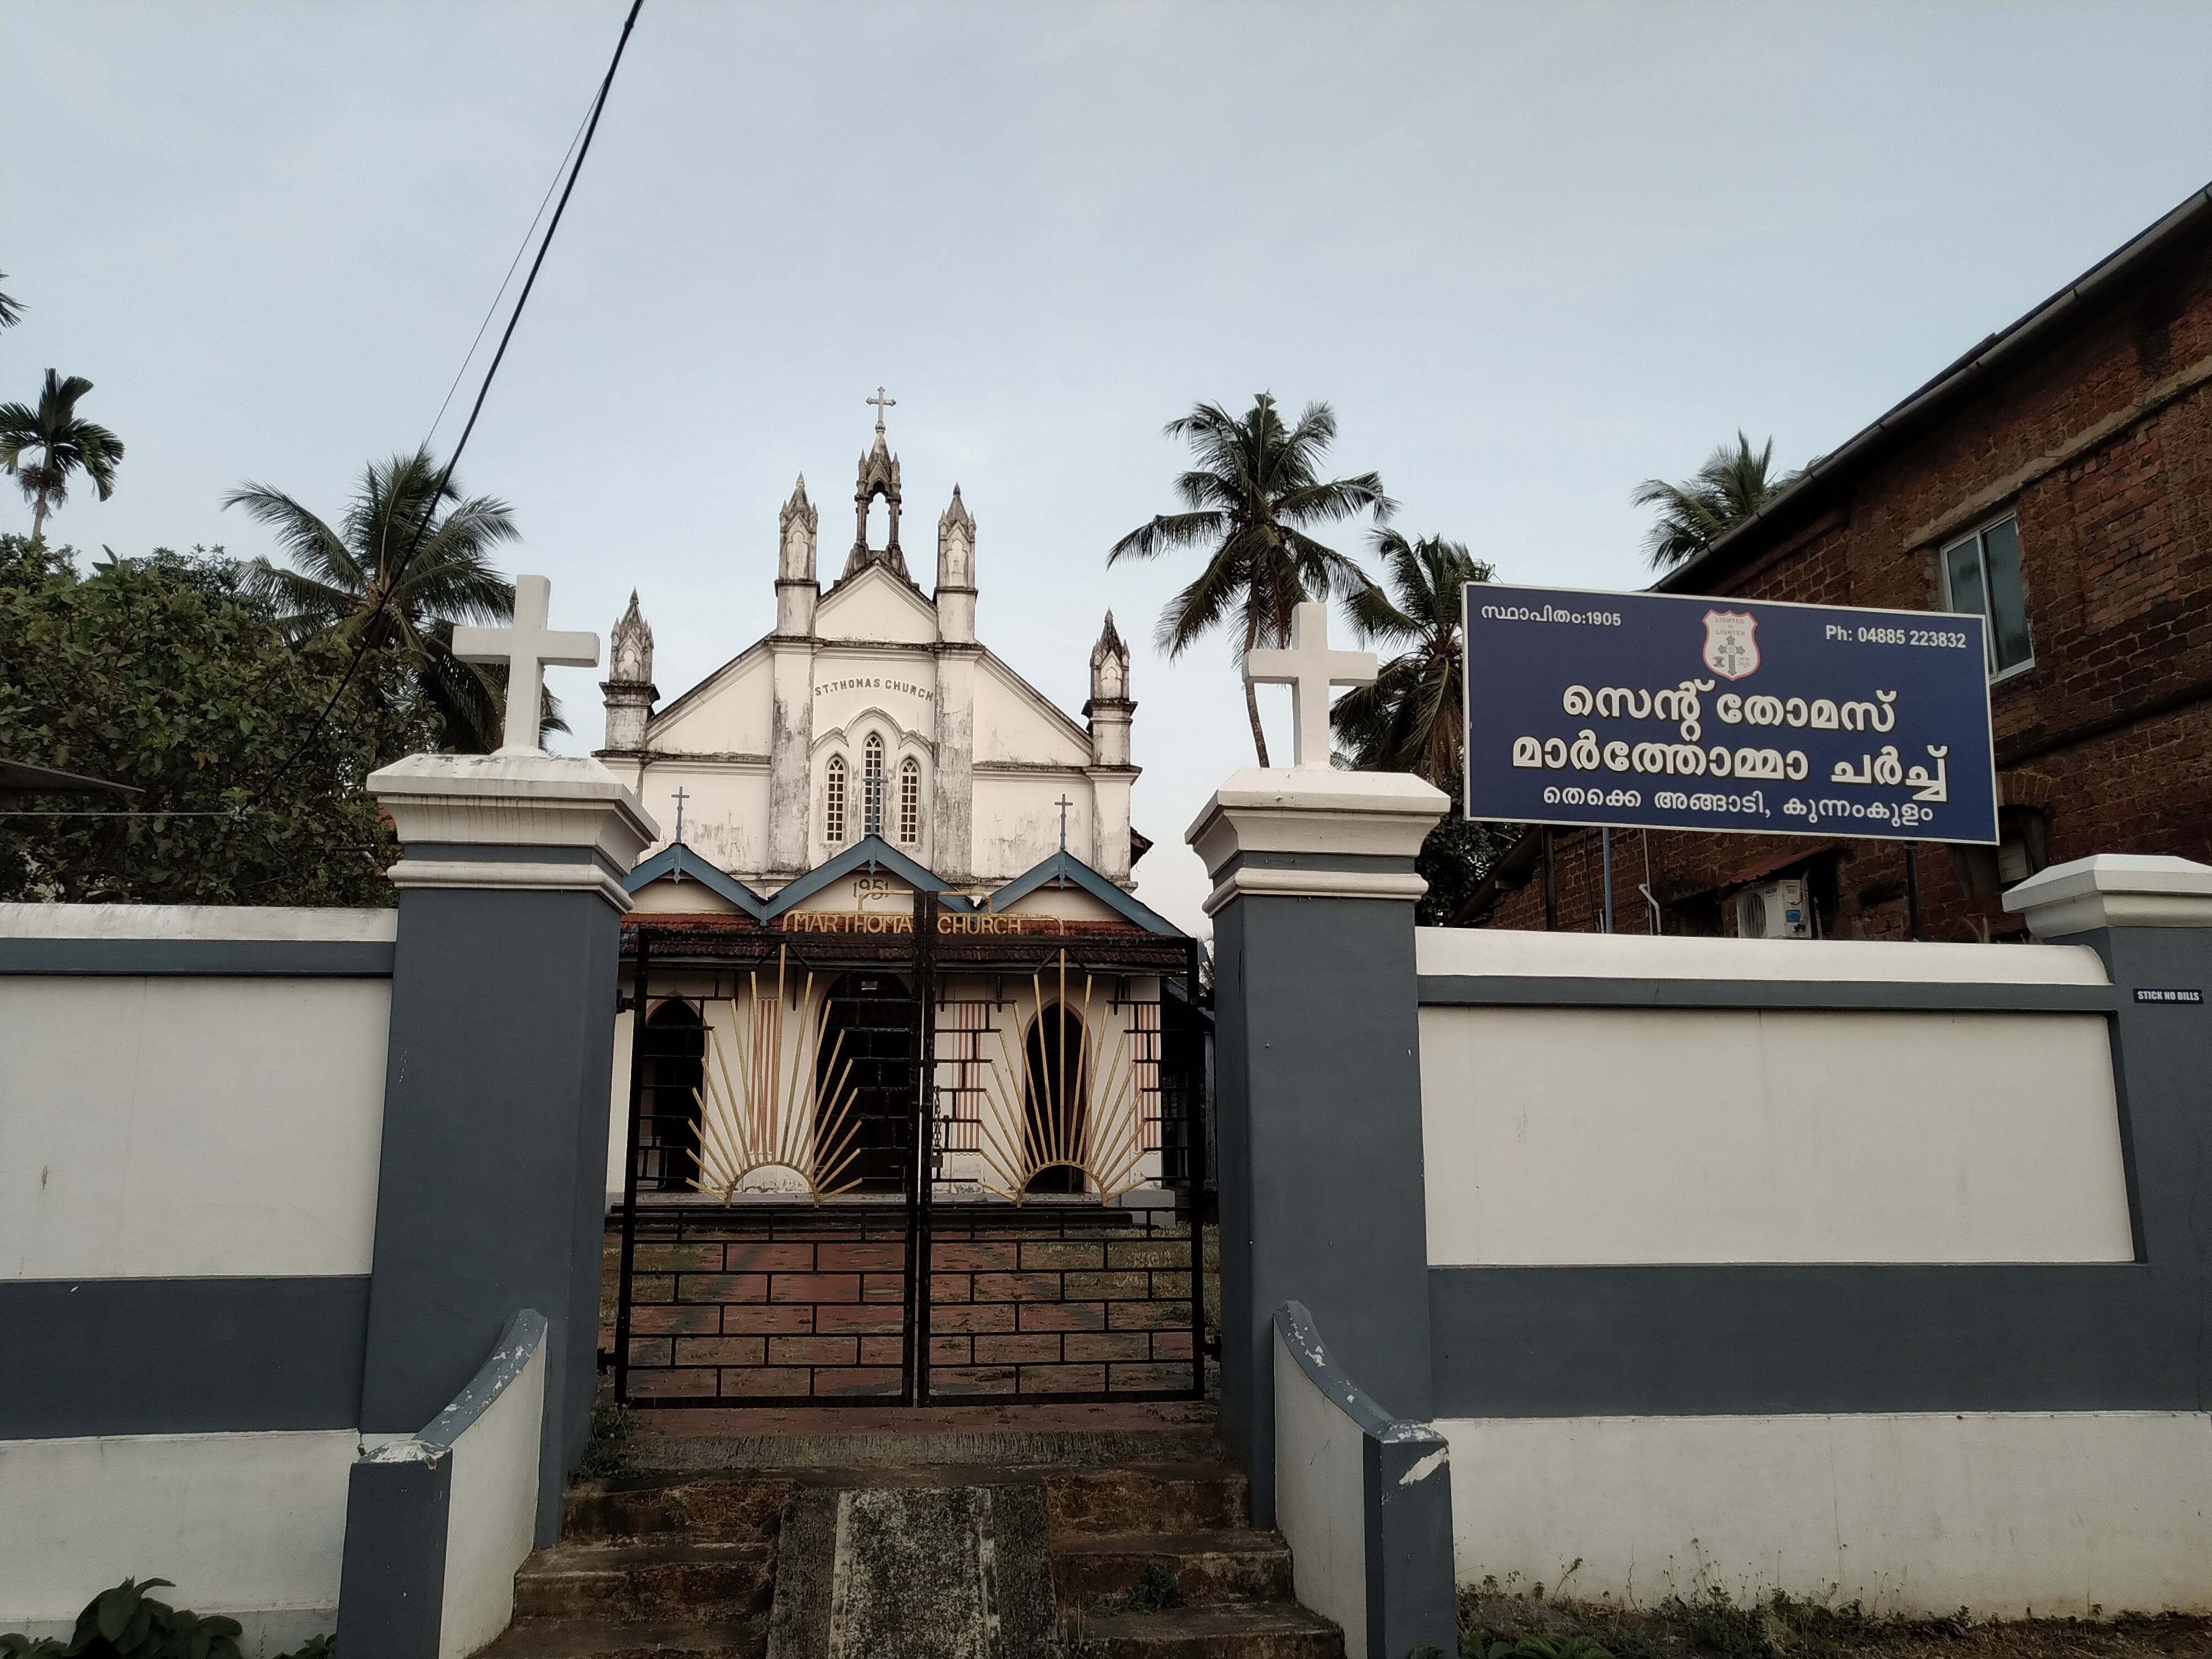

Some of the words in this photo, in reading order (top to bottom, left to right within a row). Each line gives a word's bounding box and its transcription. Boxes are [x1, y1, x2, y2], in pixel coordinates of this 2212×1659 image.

[1479, 600, 1625, 628] സ്ഥാപിതം:1905
[1713, 626, 1747, 639] LIGHTEN
[1713, 613, 1748, 625] LIGHTED
[1824, 619, 1970, 651] Ph:04885223832
[1557, 674, 1718, 745] സെന്റ്
[1714, 688, 1900, 735] തോമസ്
[1509, 723, 1811, 782] മാർത്തോമ്മാ
[1829, 742, 1949, 804] ചർച്ച്
[1538, 784, 1645, 810] തെക്കെ
[1653, 786, 1767, 816] അങ്ങാടി
[1777, 796, 1937, 831] കുന്നംകുളം
[846, 875, 893, 902] 1951
[788, 908, 918, 938] MARTHOMA
[930, 913, 1026, 941] CHURCH
[2130, 984, 2166, 1004] STICK
[2161, 989, 2180, 1004] NO
[2177, 986, 2205, 1005] BILLS